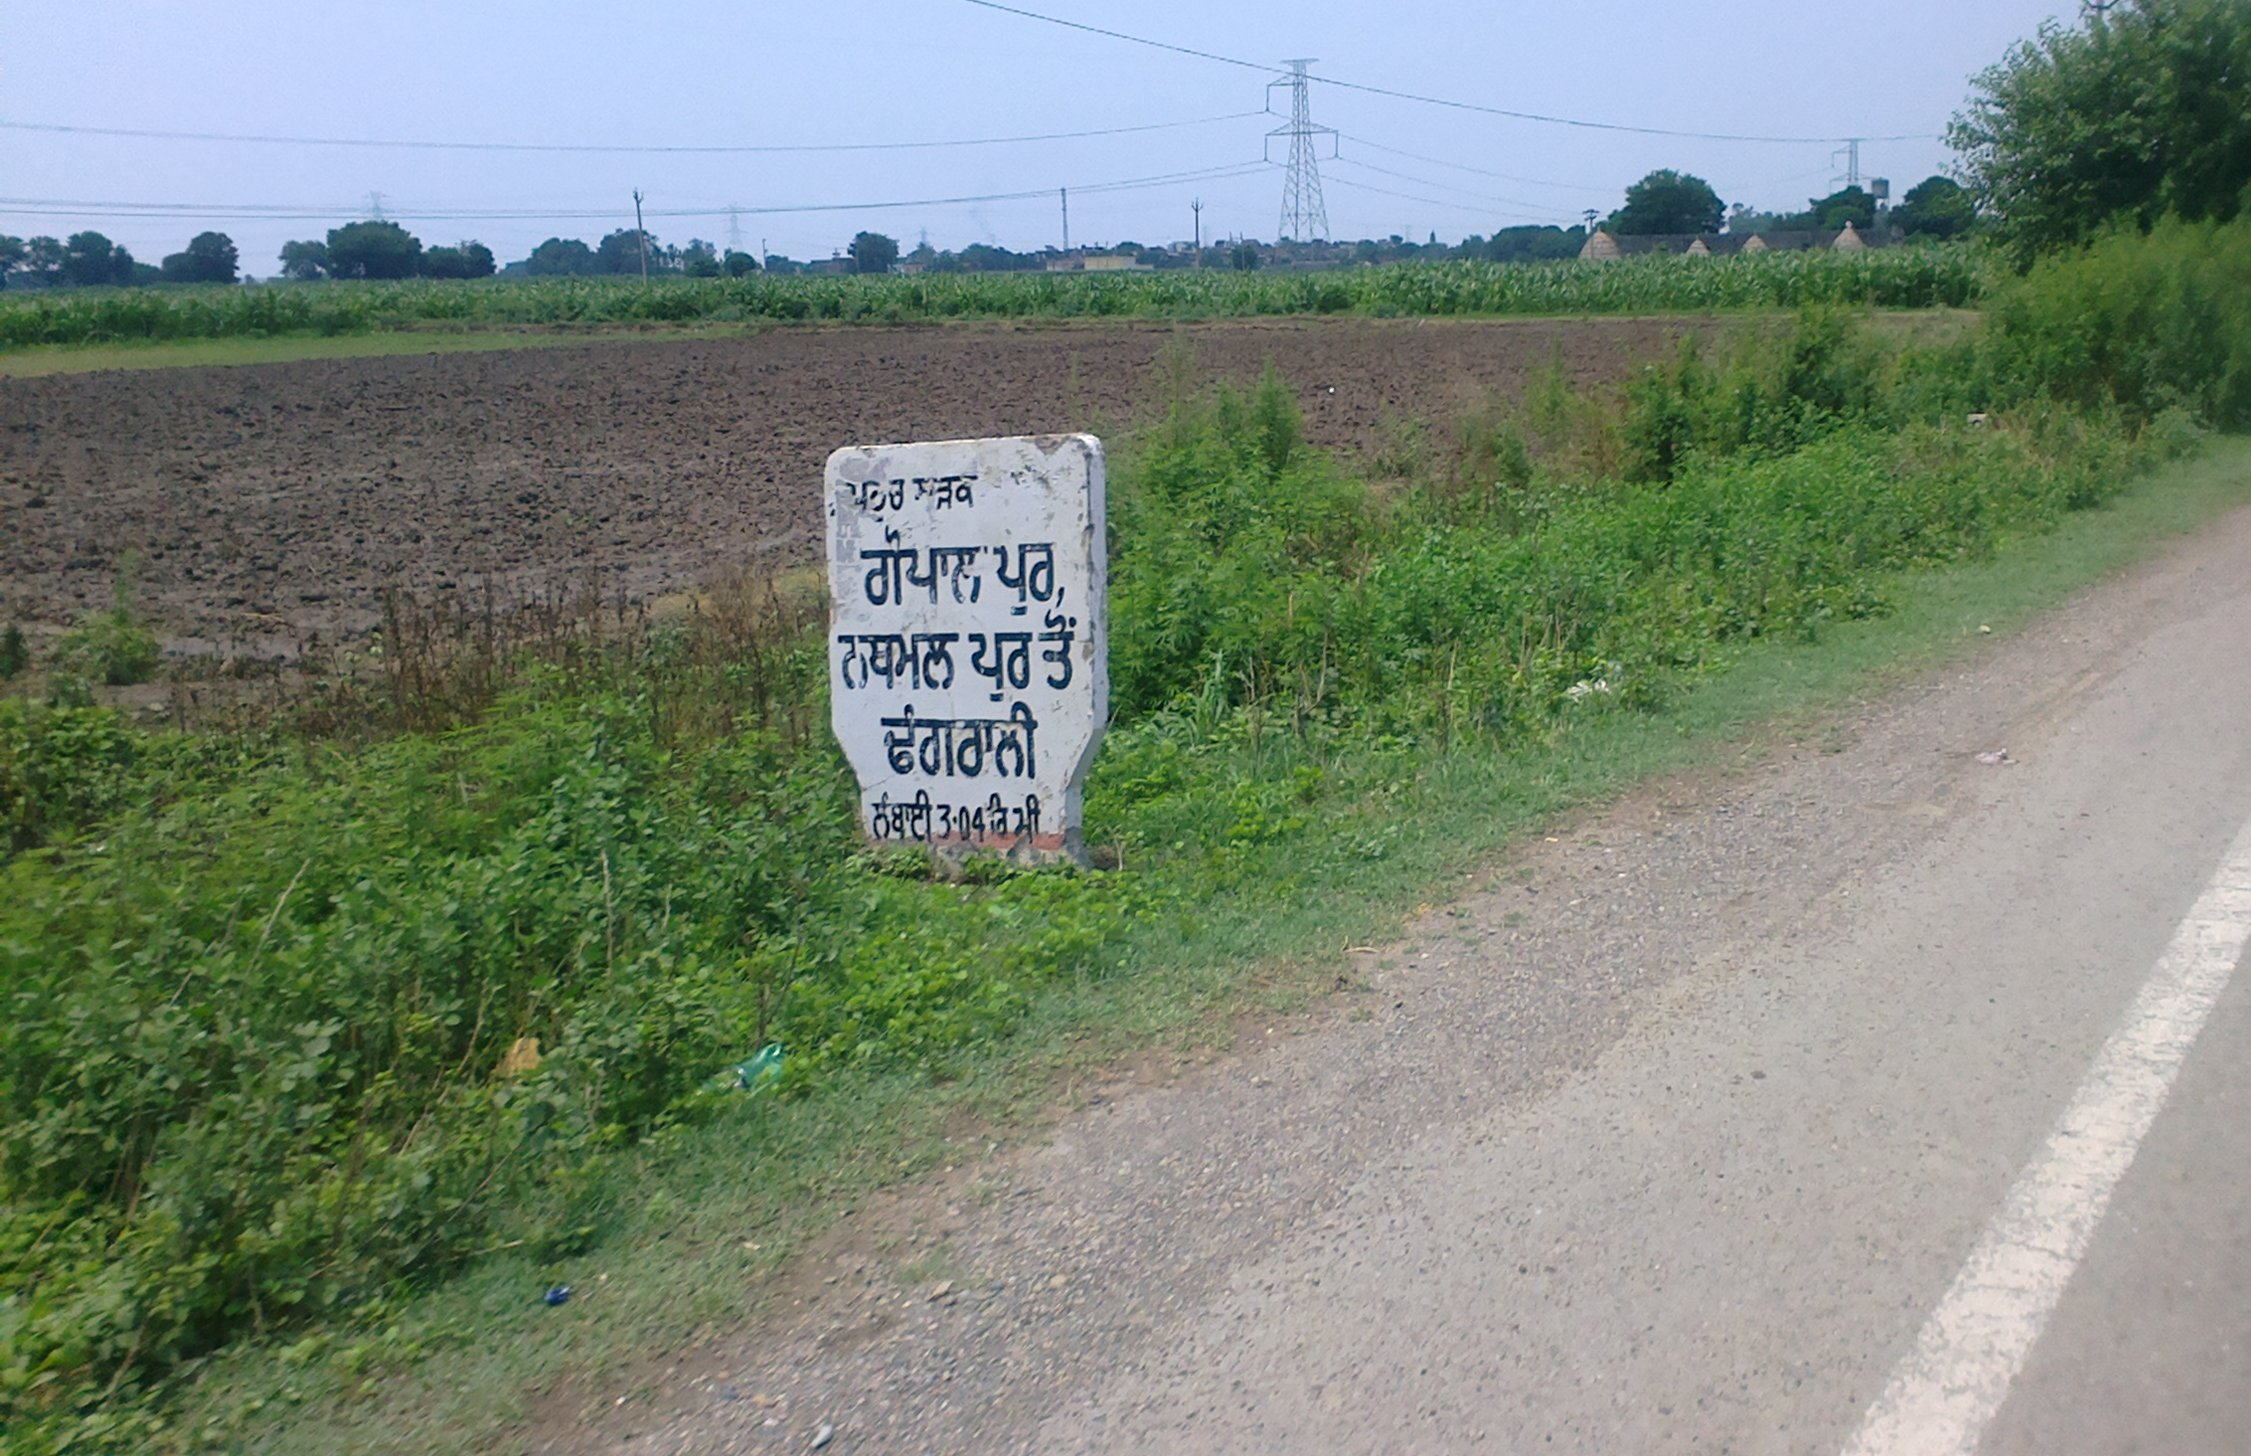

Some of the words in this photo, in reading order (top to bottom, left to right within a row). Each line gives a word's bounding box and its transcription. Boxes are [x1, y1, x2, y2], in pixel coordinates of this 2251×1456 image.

[847, 521, 990, 620] ਗੋੋਪਲ
[987, 532, 1064, 620] ਪੁਰ
[829, 622, 963, 699] ਨਥਮਲ
[961, 622, 1036, 707] ਪੁਰ
[1033, 607, 1088, 697] ਤੋਂ
[869, 696, 1048, 790] ਢੰਗਰਾਨੀ
[861, 786, 936, 851] ਲੰਬਾਈ
[931, 786, 1049, 849] 3-04 ਰਿ ਮੀ